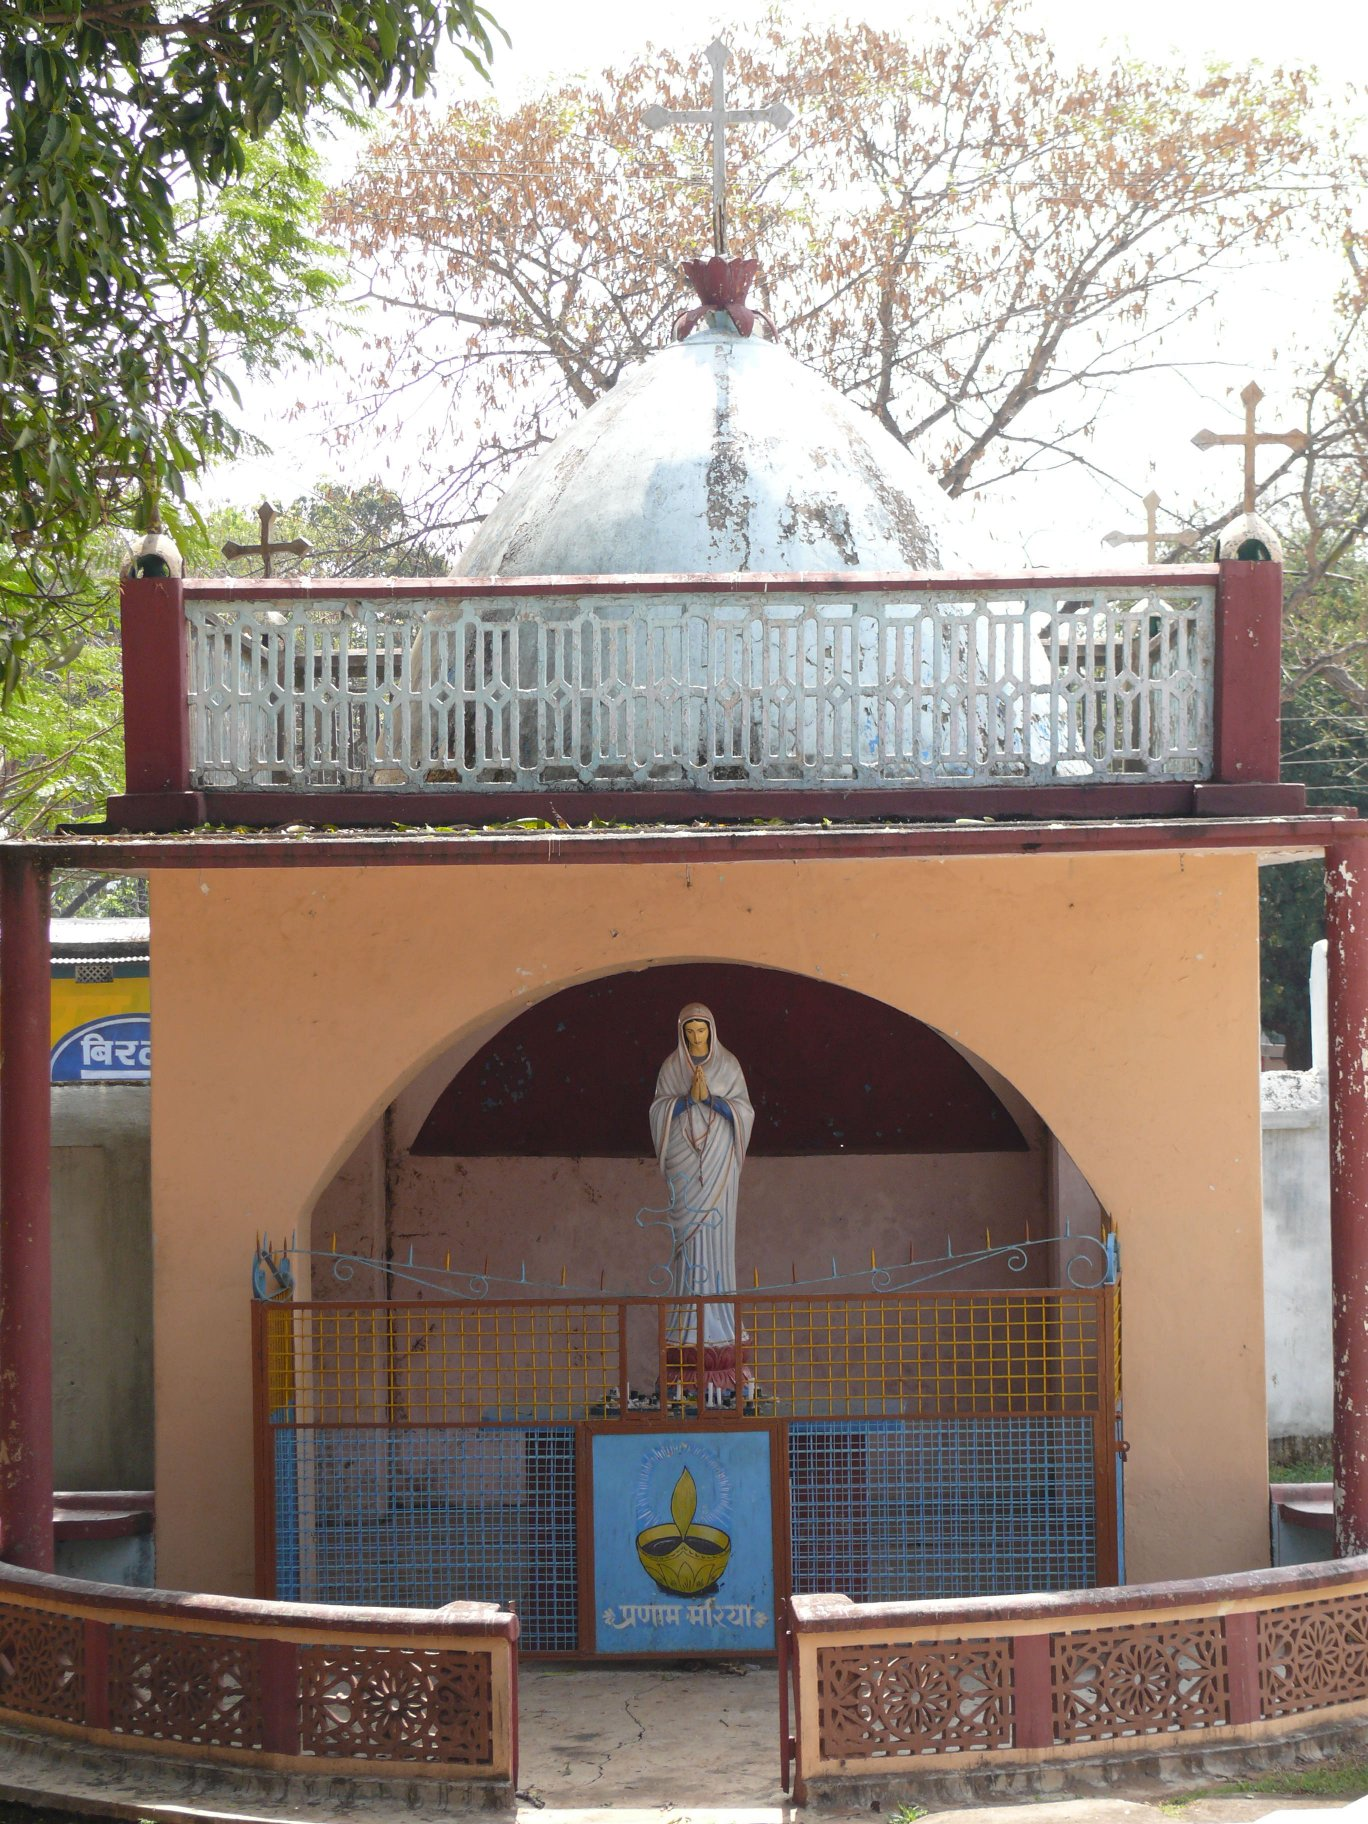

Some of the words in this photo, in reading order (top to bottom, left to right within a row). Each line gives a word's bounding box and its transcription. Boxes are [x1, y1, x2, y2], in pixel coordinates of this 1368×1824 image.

[611, 1603, 685, 1632] प्रणाम
[683, 1594, 754, 1630] मरिया